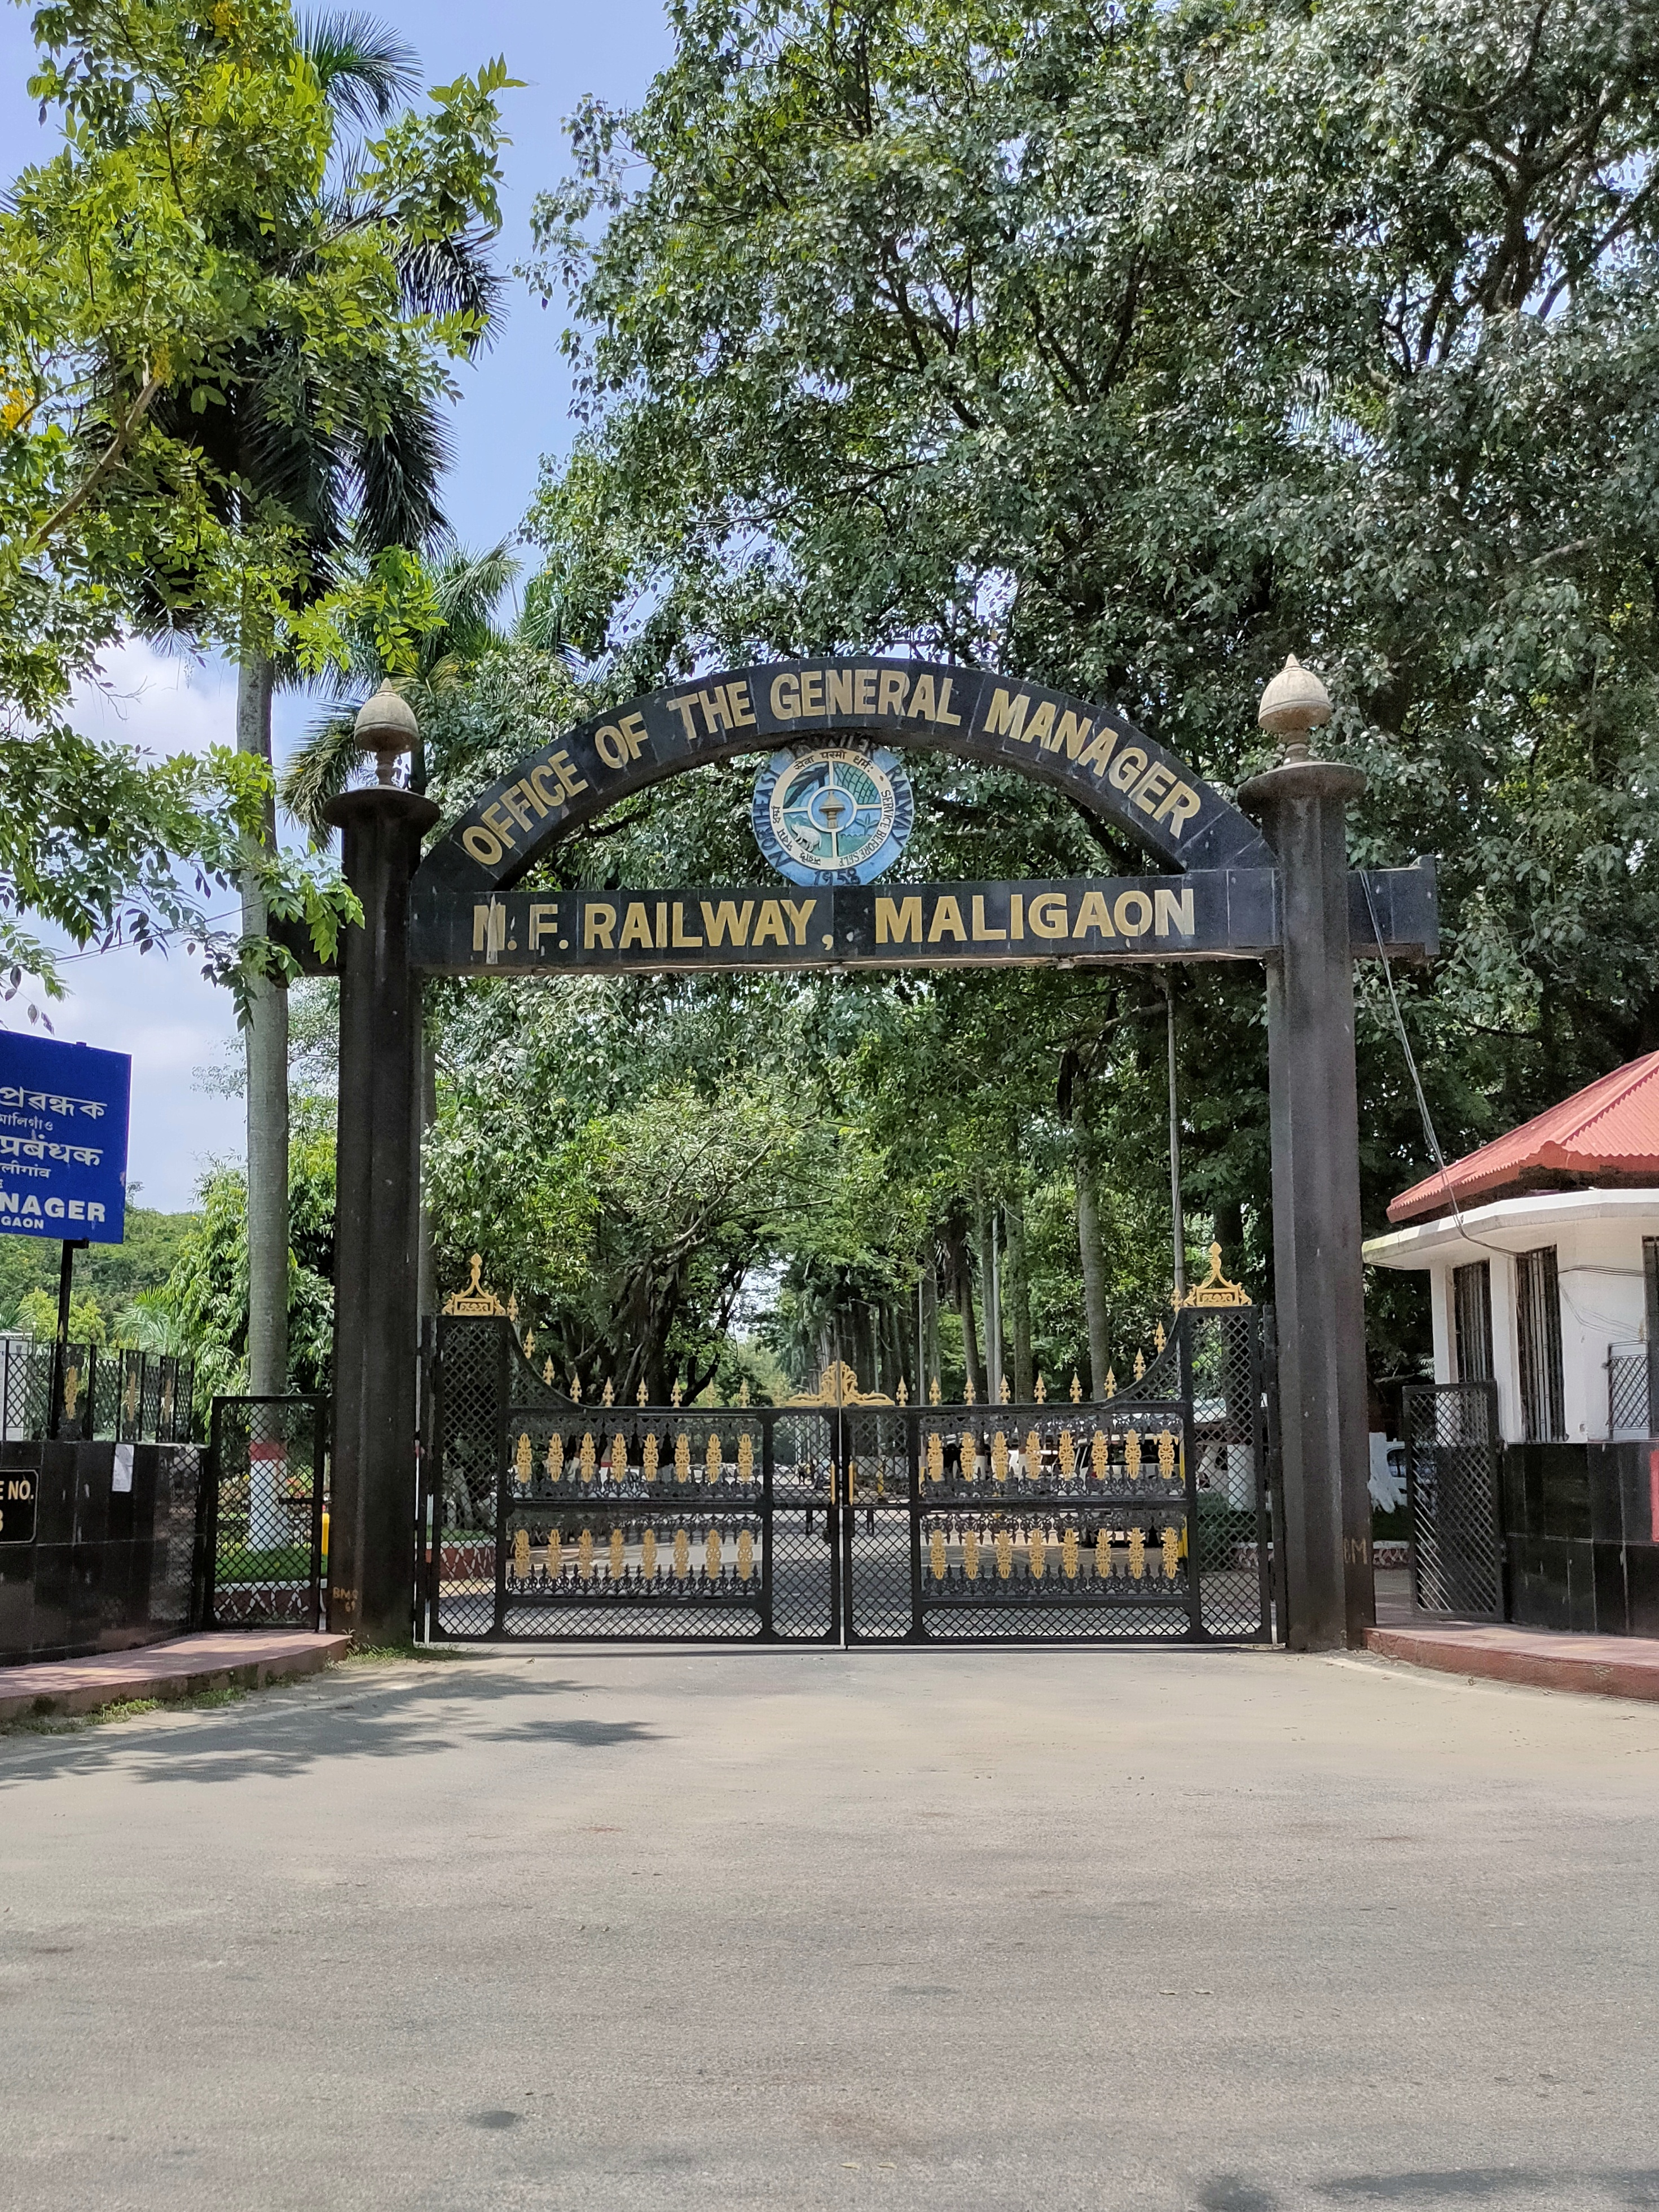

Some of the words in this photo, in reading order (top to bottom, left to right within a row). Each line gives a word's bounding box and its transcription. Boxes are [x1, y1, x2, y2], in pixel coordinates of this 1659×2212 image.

[665, 674, 764, 749] THE
[767, 663, 968, 728] GENERAL
[586, 705, 656, 778] OF
[788, 750, 817, 772] सेवा
[817, 744, 851, 763] परमो
[850, 751, 878, 776] धर्मः
[980, 682, 1203, 839] MANAGER
[456, 746, 595, 871] OFFICE
[749, 760, 799, 870] NORTHEAST
[767, 800, 785, 828] ধর্ম
[878, 788, 897, 830] SERVICE
[880, 759, 916, 853] RAILWAY
[775, 826, 800, 857] পৰম
[835, 827, 891, 868] BEFORESELF
[810, 863, 872, 891] 1958
[464, 892, 577, 964] N.F.
[579, 891, 821, 955] RAILWAY
[870, 881, 1198, 947] MALIGAON
[2, 1109, 58, 1133] বালিগাঁও
[0, 1079, 109, 1122] প্ৰৱন্ধক
[1, 1156, 56, 1180] लीगांव
[0, 1129, 107, 1170] प्रबंधक
[1, 1213, 50, 1233] GAON